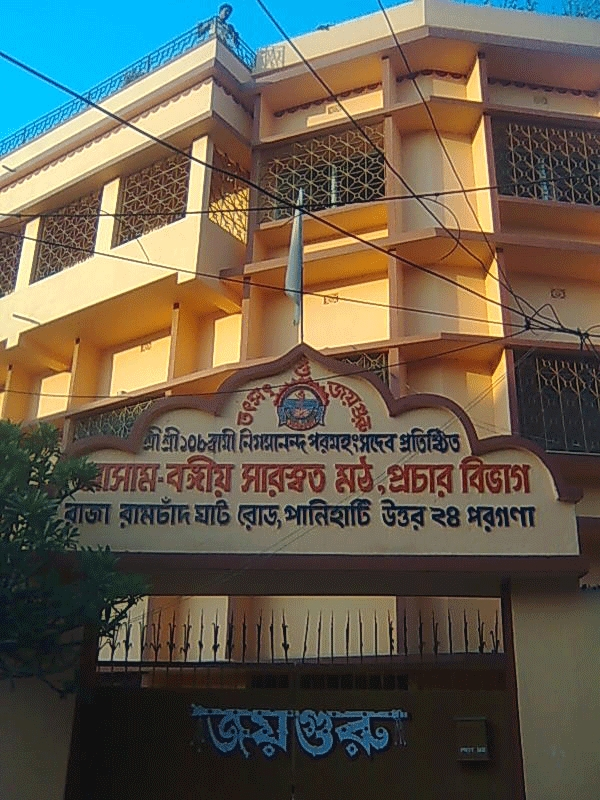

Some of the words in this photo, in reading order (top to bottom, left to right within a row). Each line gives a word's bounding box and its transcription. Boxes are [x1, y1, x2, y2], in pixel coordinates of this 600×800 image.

[325, 375, 379, 441] জয়গুরু
[141, 417, 241, 456] শ্রীশ্রী ১০৮ স্বামী
[233, 421, 313, 455] নিগমানন্দ
[305, 426, 401, 458] পরমহংসদেব
[398, 427, 461, 456] প্রতিষ্ঠিত
[159, 456, 233, 498] বঙ্গীয়
[240, 453, 333, 504] সারস্বত
[382, 460, 456, 500] প্রচার
[449, 449, 536, 497] বিভাগ
[61, 493, 118, 530] রাজা
[117, 490, 195, 531] রামচাঁদ
[189, 491, 235, 531] ঘাট
[233, 499, 288, 533] রোড
[281, 496, 373, 530] পানিহটি
[371, 493, 431, 536] উত্তর
[428, 499, 467, 535] ২৪
[462, 497, 540, 539] পরগণা
[191, 702, 410, 764] জয়গুরু